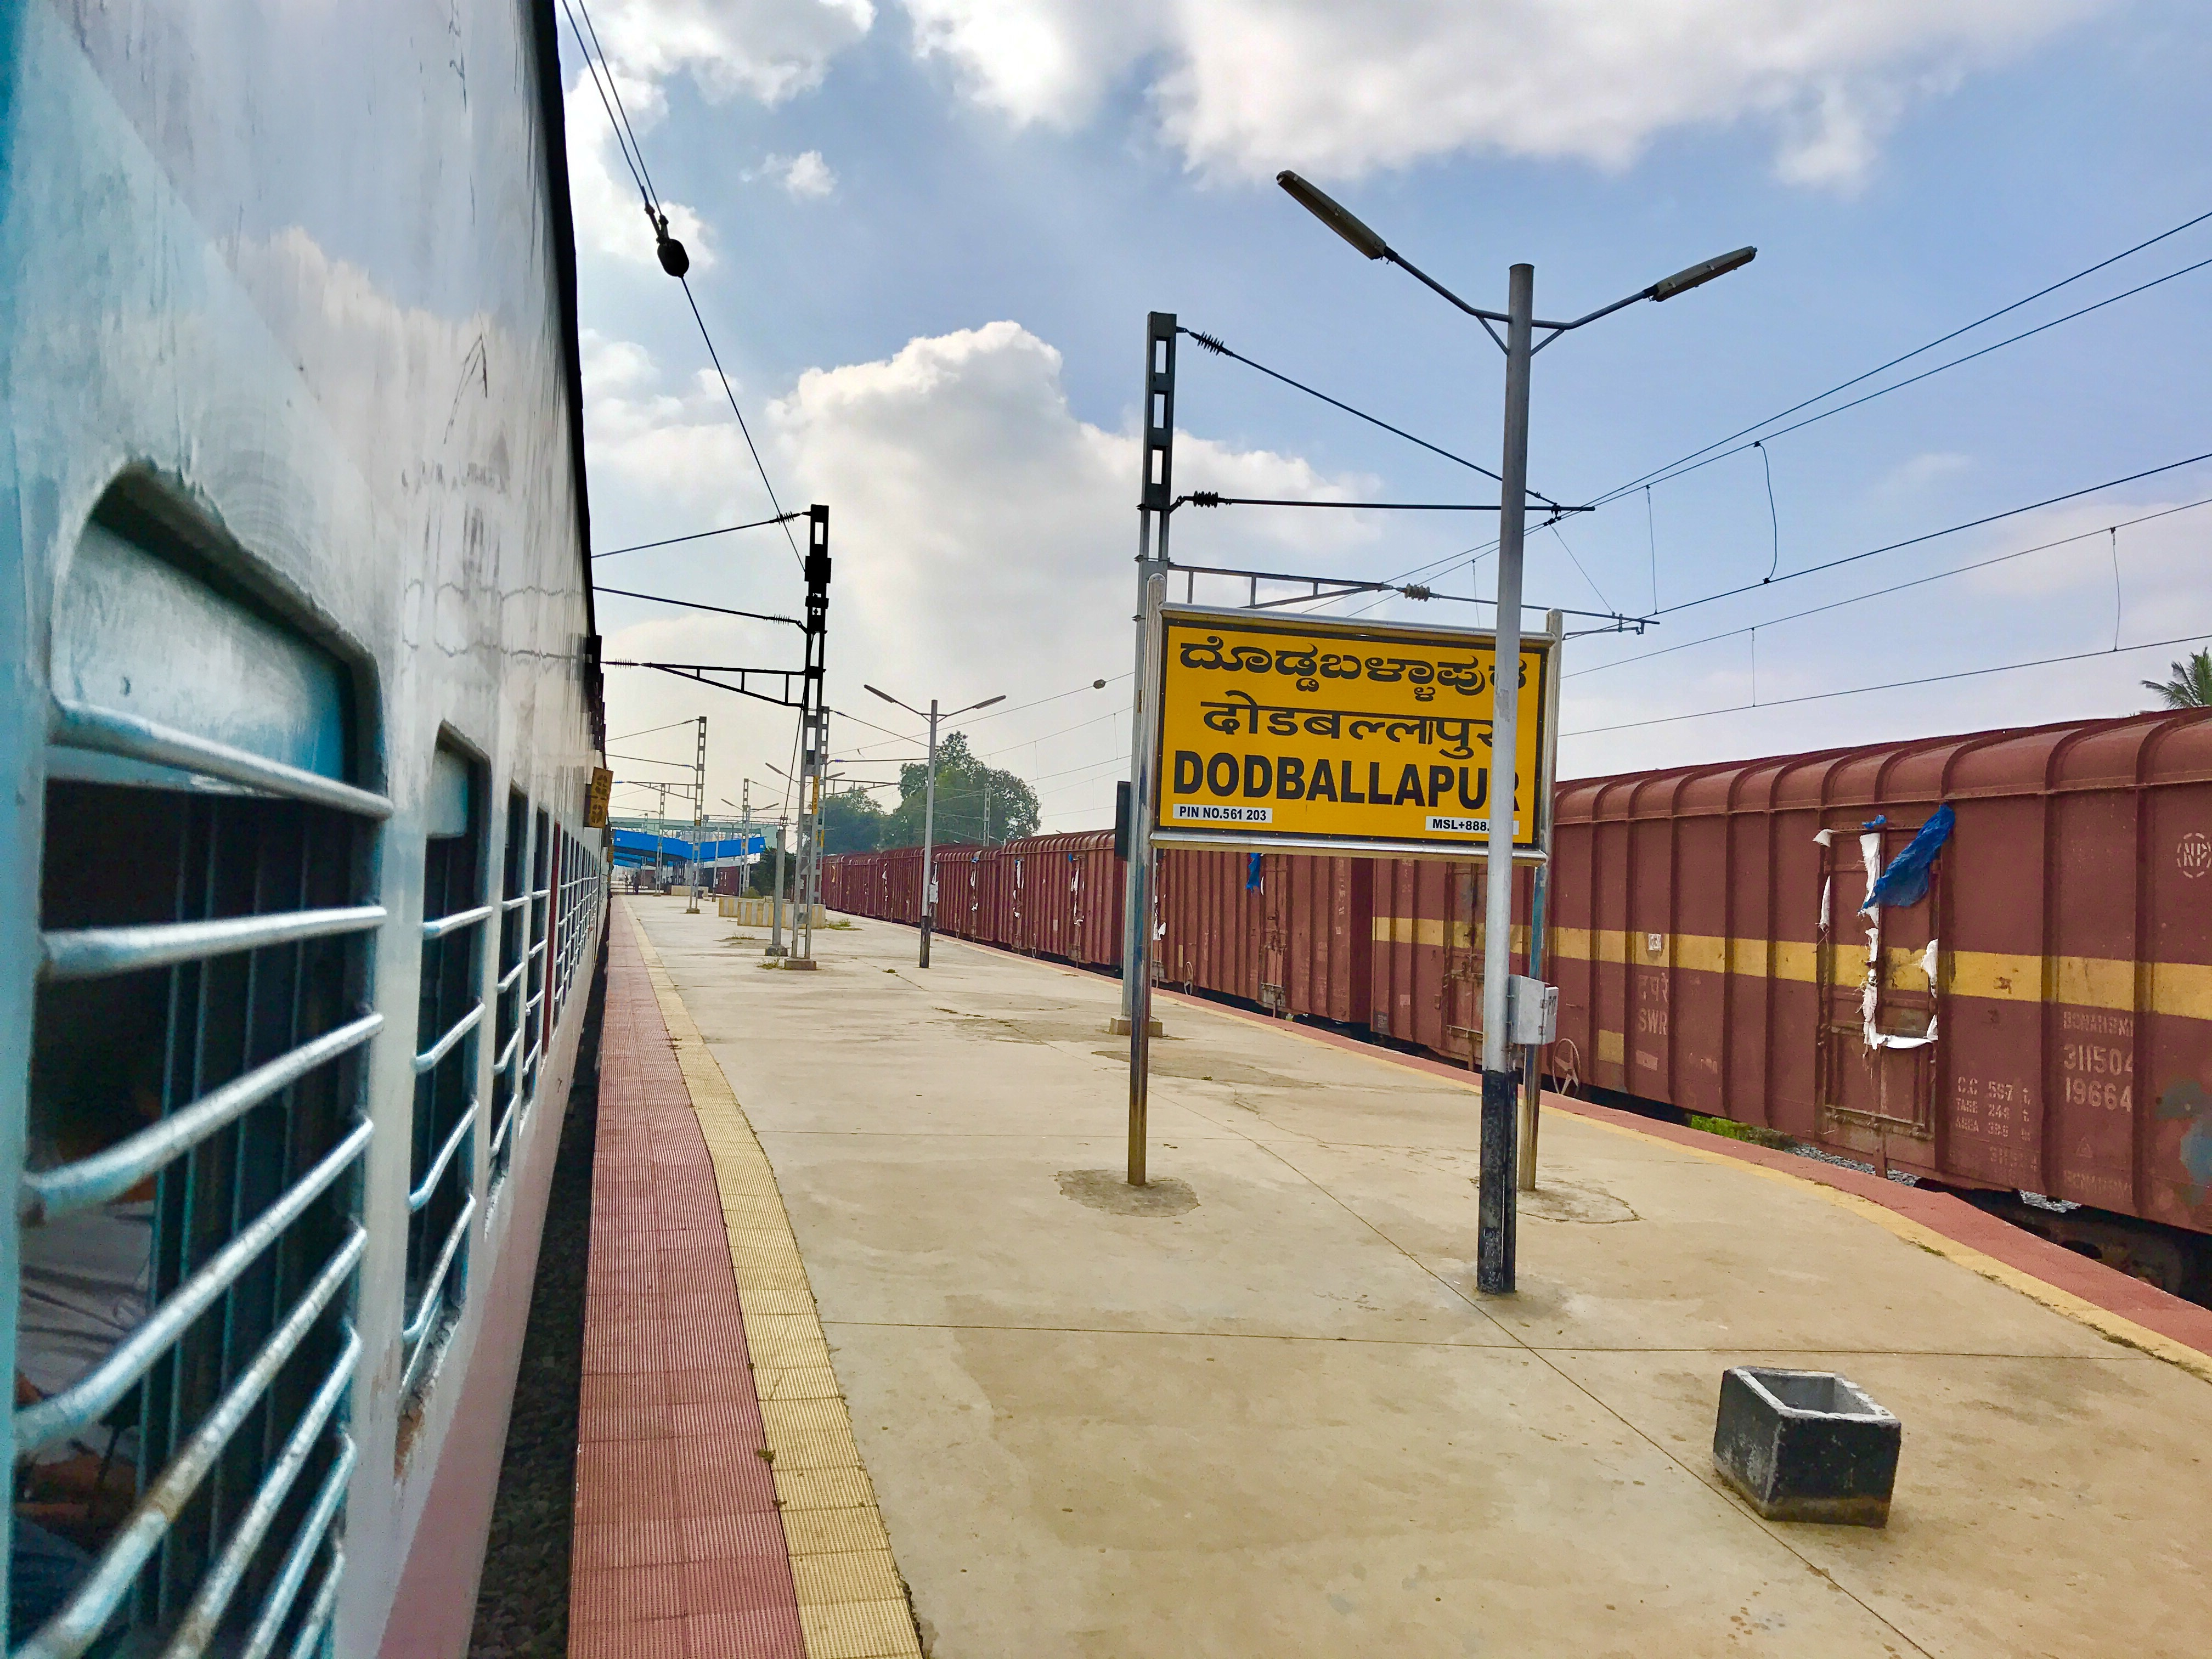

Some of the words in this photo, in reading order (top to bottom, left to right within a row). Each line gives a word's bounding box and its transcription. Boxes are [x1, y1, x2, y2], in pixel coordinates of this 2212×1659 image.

[1178, 628, 1488, 704] ದೊಡ್ಡಬಳ್ಳಾಪು
[1199, 684, 1504, 761] दोडबल्लापुर
[1177, 803, 1201, 819] PIN
[1200, 804, 1268, 823] NO.561203
[1170, 746, 1521, 814] DODBALLAPU
[1430, 816, 1491, 834] MSL+888.